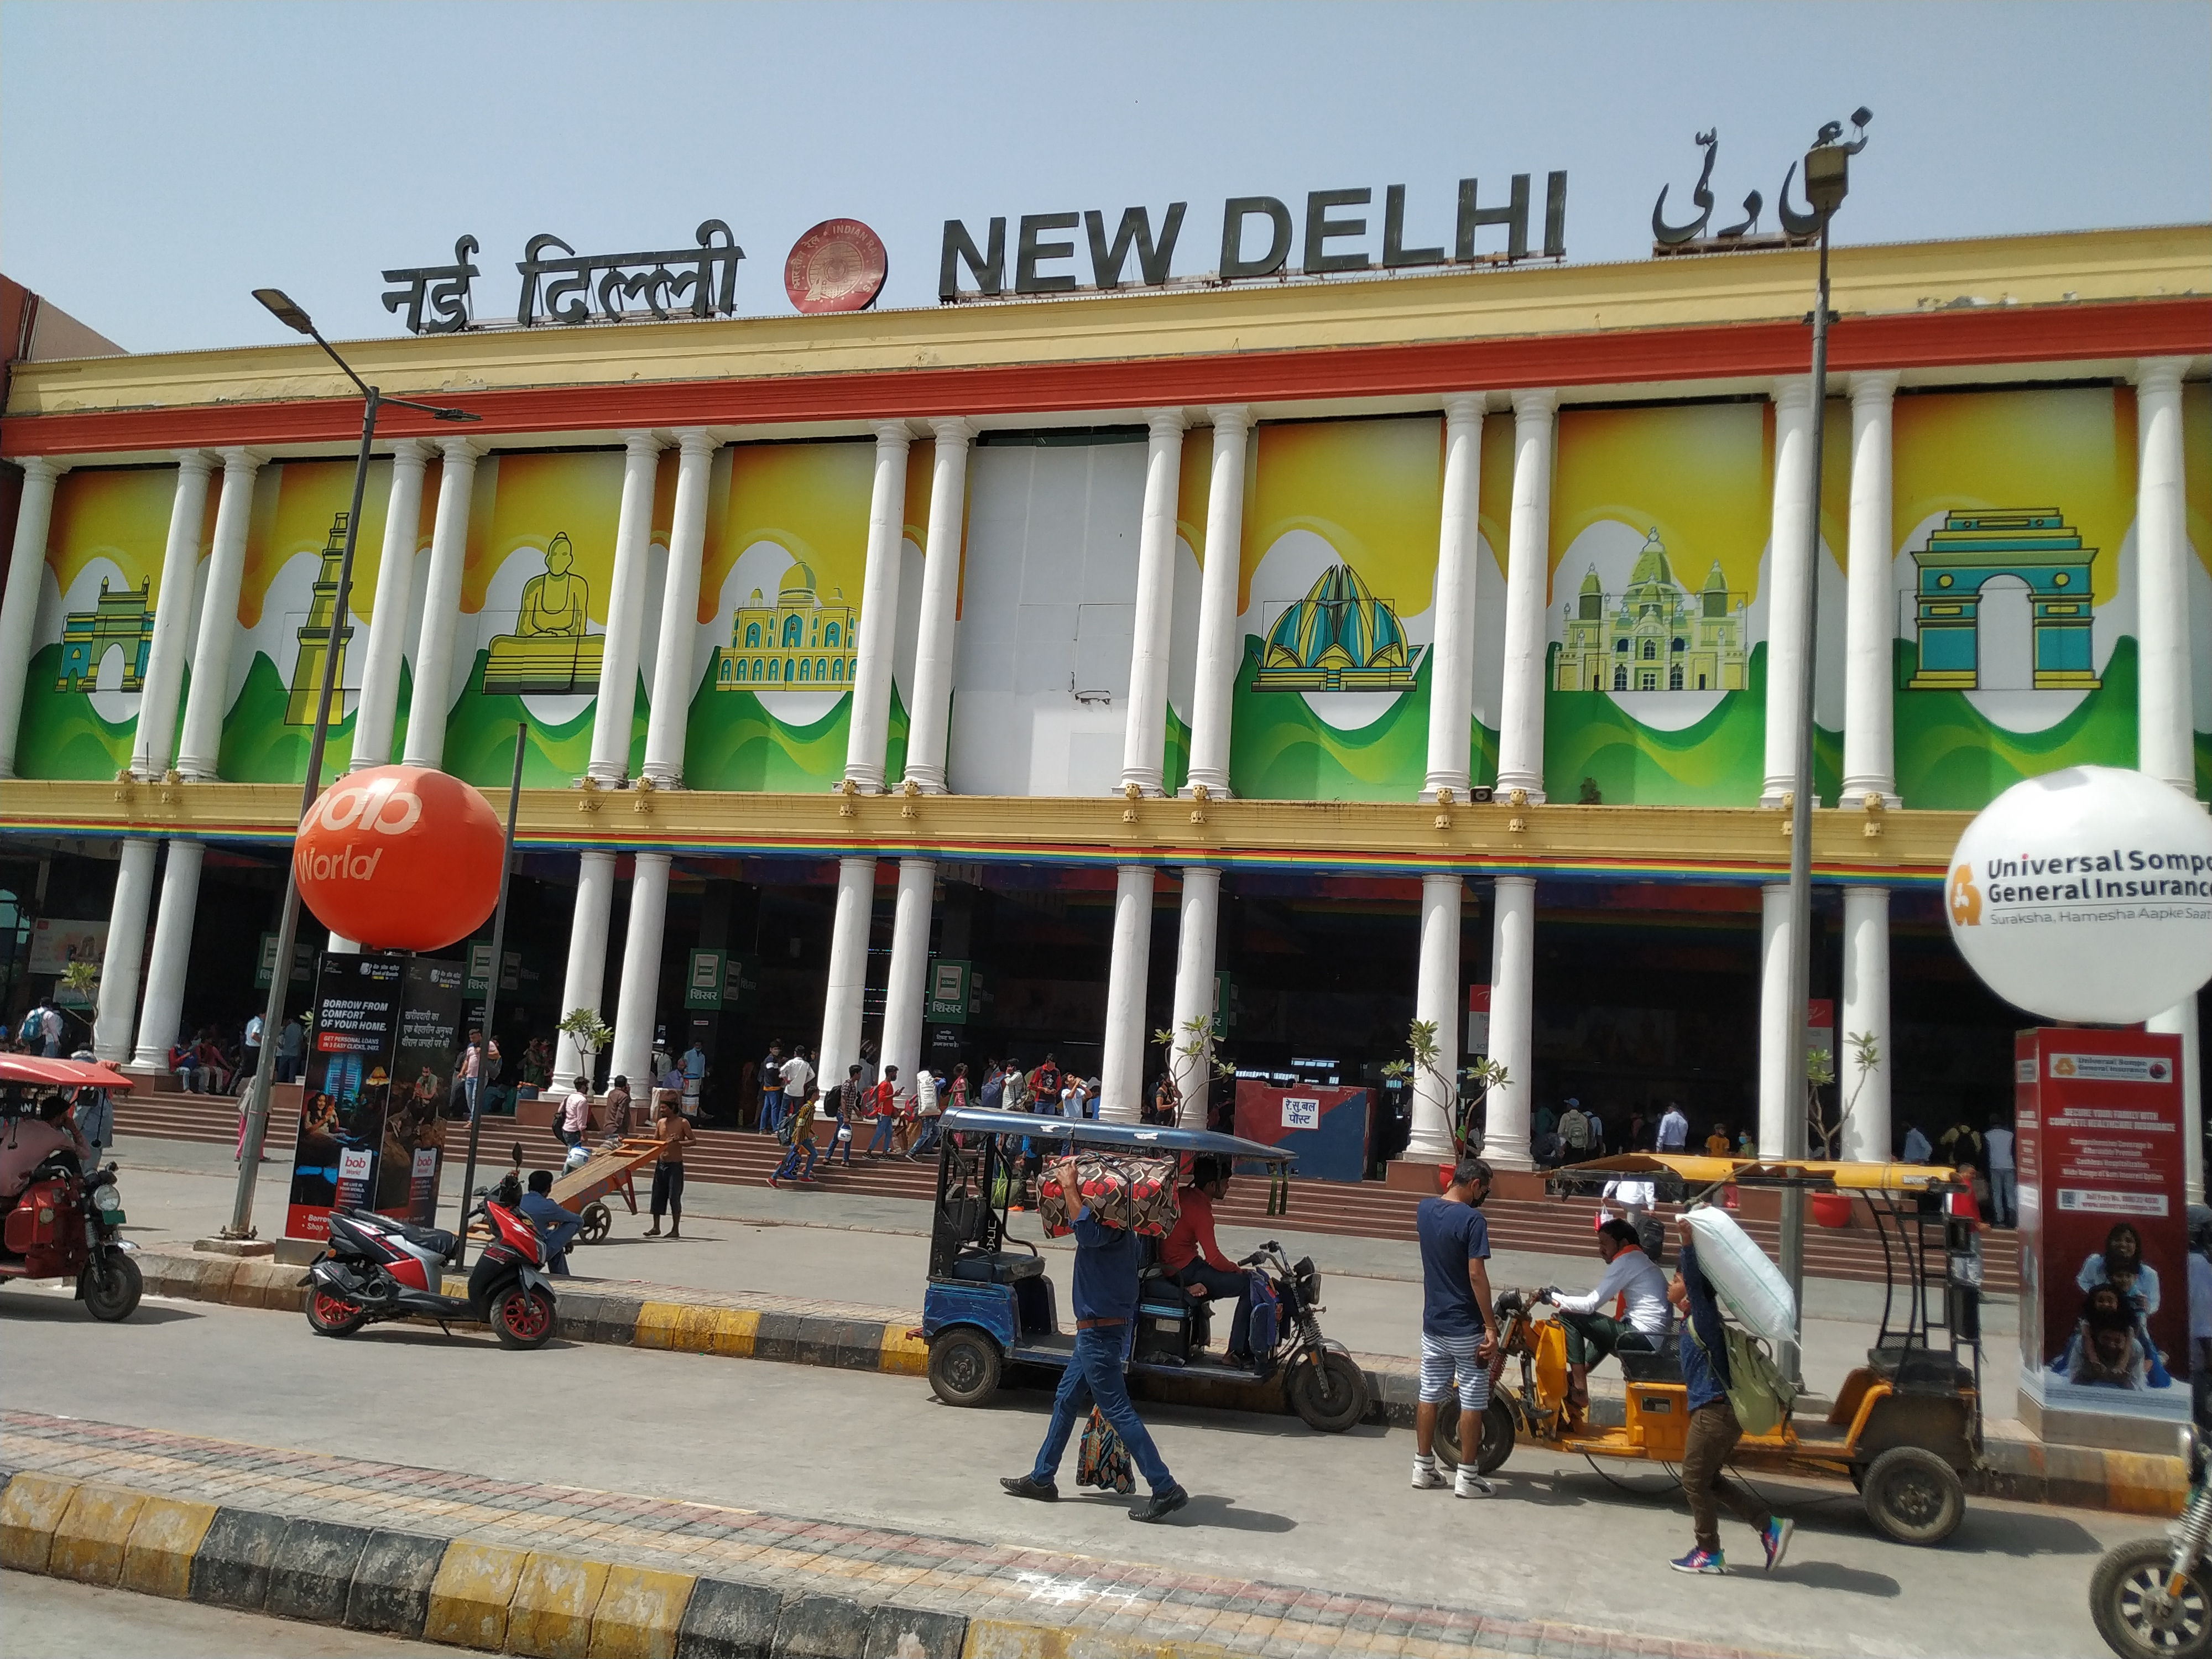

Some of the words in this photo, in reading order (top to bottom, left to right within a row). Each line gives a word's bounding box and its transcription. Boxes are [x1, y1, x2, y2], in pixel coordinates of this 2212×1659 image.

[1219, 170, 1567, 278] DELHI
[938, 201, 1187, 297] NEW
[515, 218, 748, 328] दिल्ली
[383, 234, 481, 335] नई
[293, 843, 389, 886] World
[1988, 849, 2124, 879] Universal
[1987, 878, 2090, 902] General
[2095, 878, 2209, 896] Insurance
[316, 1018, 335, 1031] OF
[320, 998, 364, 1013] BORROW
[318, 1004, 366, 1022] ८०आ६००
[331, 1017, 361, 1034] YOUR
[357, 1020, 388, 1034] HOME.
[359, 998, 392, 1015] FROM
[399, 1022, 416, 1036] एक
[399, 1034, 421, 1050] वीरान
[404, 1008, 434, 1024] खरीददारी
[410, 1019, 439, 1036] बेहतरीन
[415, 1034, 436, 1049] जगहों
[429, 1010, 440, 1025] का
[432, 1037, 443, 1052] प‍‍र
[431, 1025, 455, 1042] अनुभव
[440, 1033, 454, 1051] श्री
[929, 997, 964, 1015] शिखर
[1282, 1093, 1318, 1113] रे.सु.बल
[1285, 1110, 1313, 1128] पोस्ट